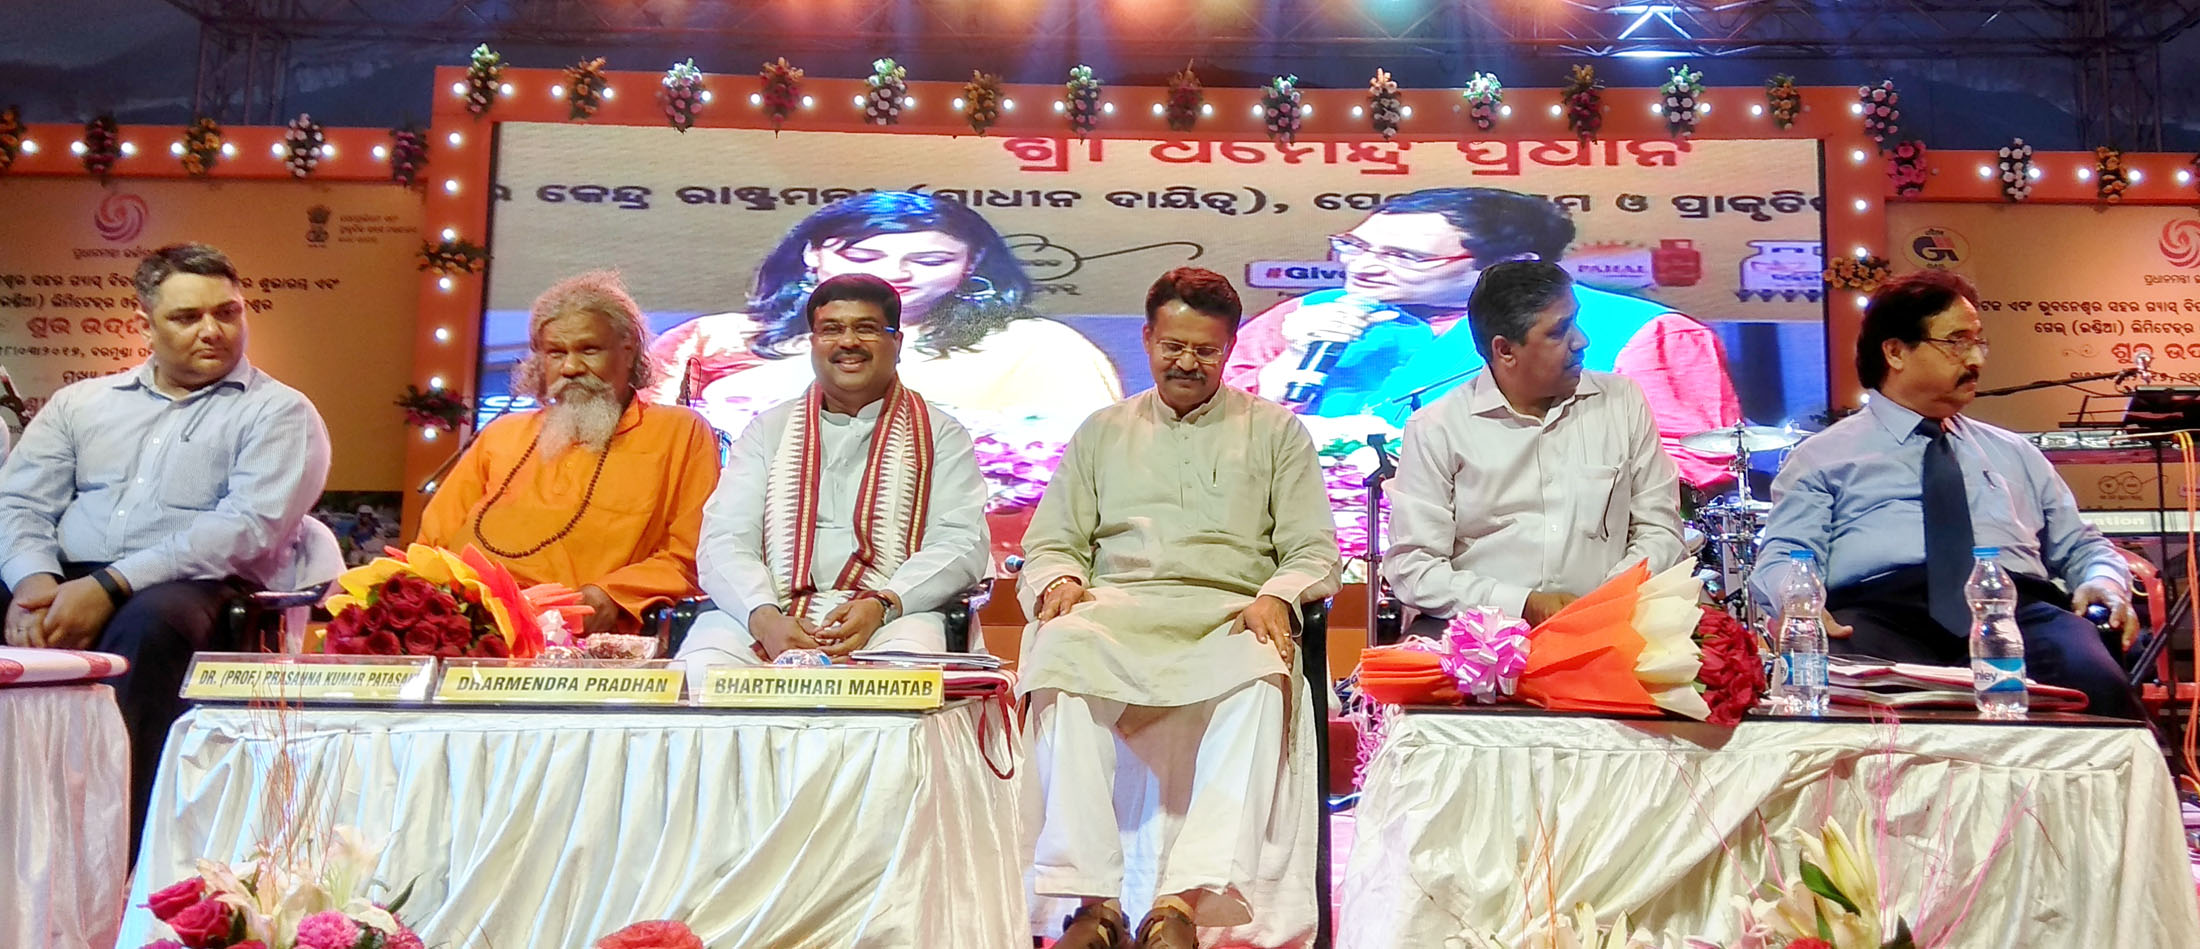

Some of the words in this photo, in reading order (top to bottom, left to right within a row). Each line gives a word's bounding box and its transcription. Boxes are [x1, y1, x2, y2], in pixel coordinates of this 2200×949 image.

[1001, 121, 1109, 184] ଶ୍ରା
[1147, 126, 1415, 184] ଧମେନ୍ଦ୍ର
[1448, 122, 1703, 176] ପ୍ରଧାନ
[524, 174, 655, 219] କେନ୍ଦ୍ର
[670, 176, 865, 215] ରାଷ୍ଟ୍ରମନ
[1100, 177, 1243, 221] ଦାୟିତ୍ବ
[1673, 186, 1810, 223] ପ୍ରାକୃତି
[2003, 293, 2037, 314] ଏବଂ
[2035, 293, 2107, 318] ଭୁବନେଶ୍ୱର
[2102, 296, 2145, 315] ସହର
[2143, 291, 2182, 317] ଗ୍ୟାସ୍
[23, 305, 75, 342] ଣୁର
[2030, 316, 2071, 338] ଢେଇ
[2073, 313, 2122, 338] ଇଣ୍ଡିଆ)
[2123, 312, 2199, 340] ଲିମିଟେକର
[196, 667, 220, 686] DR.
[221, 665, 266, 693] (PROF)
[259, 665, 327, 693] PRASANNA
[323, 665, 371, 692] KUMAR
[363, 669, 421, 689] PATASA
[452, 673, 581, 695] DHARMENDRA
[582, 673, 670, 698] PRADHAN
[709, 671, 848, 698] BHARTRUHARI
[845, 676, 934, 698] MAHATAB